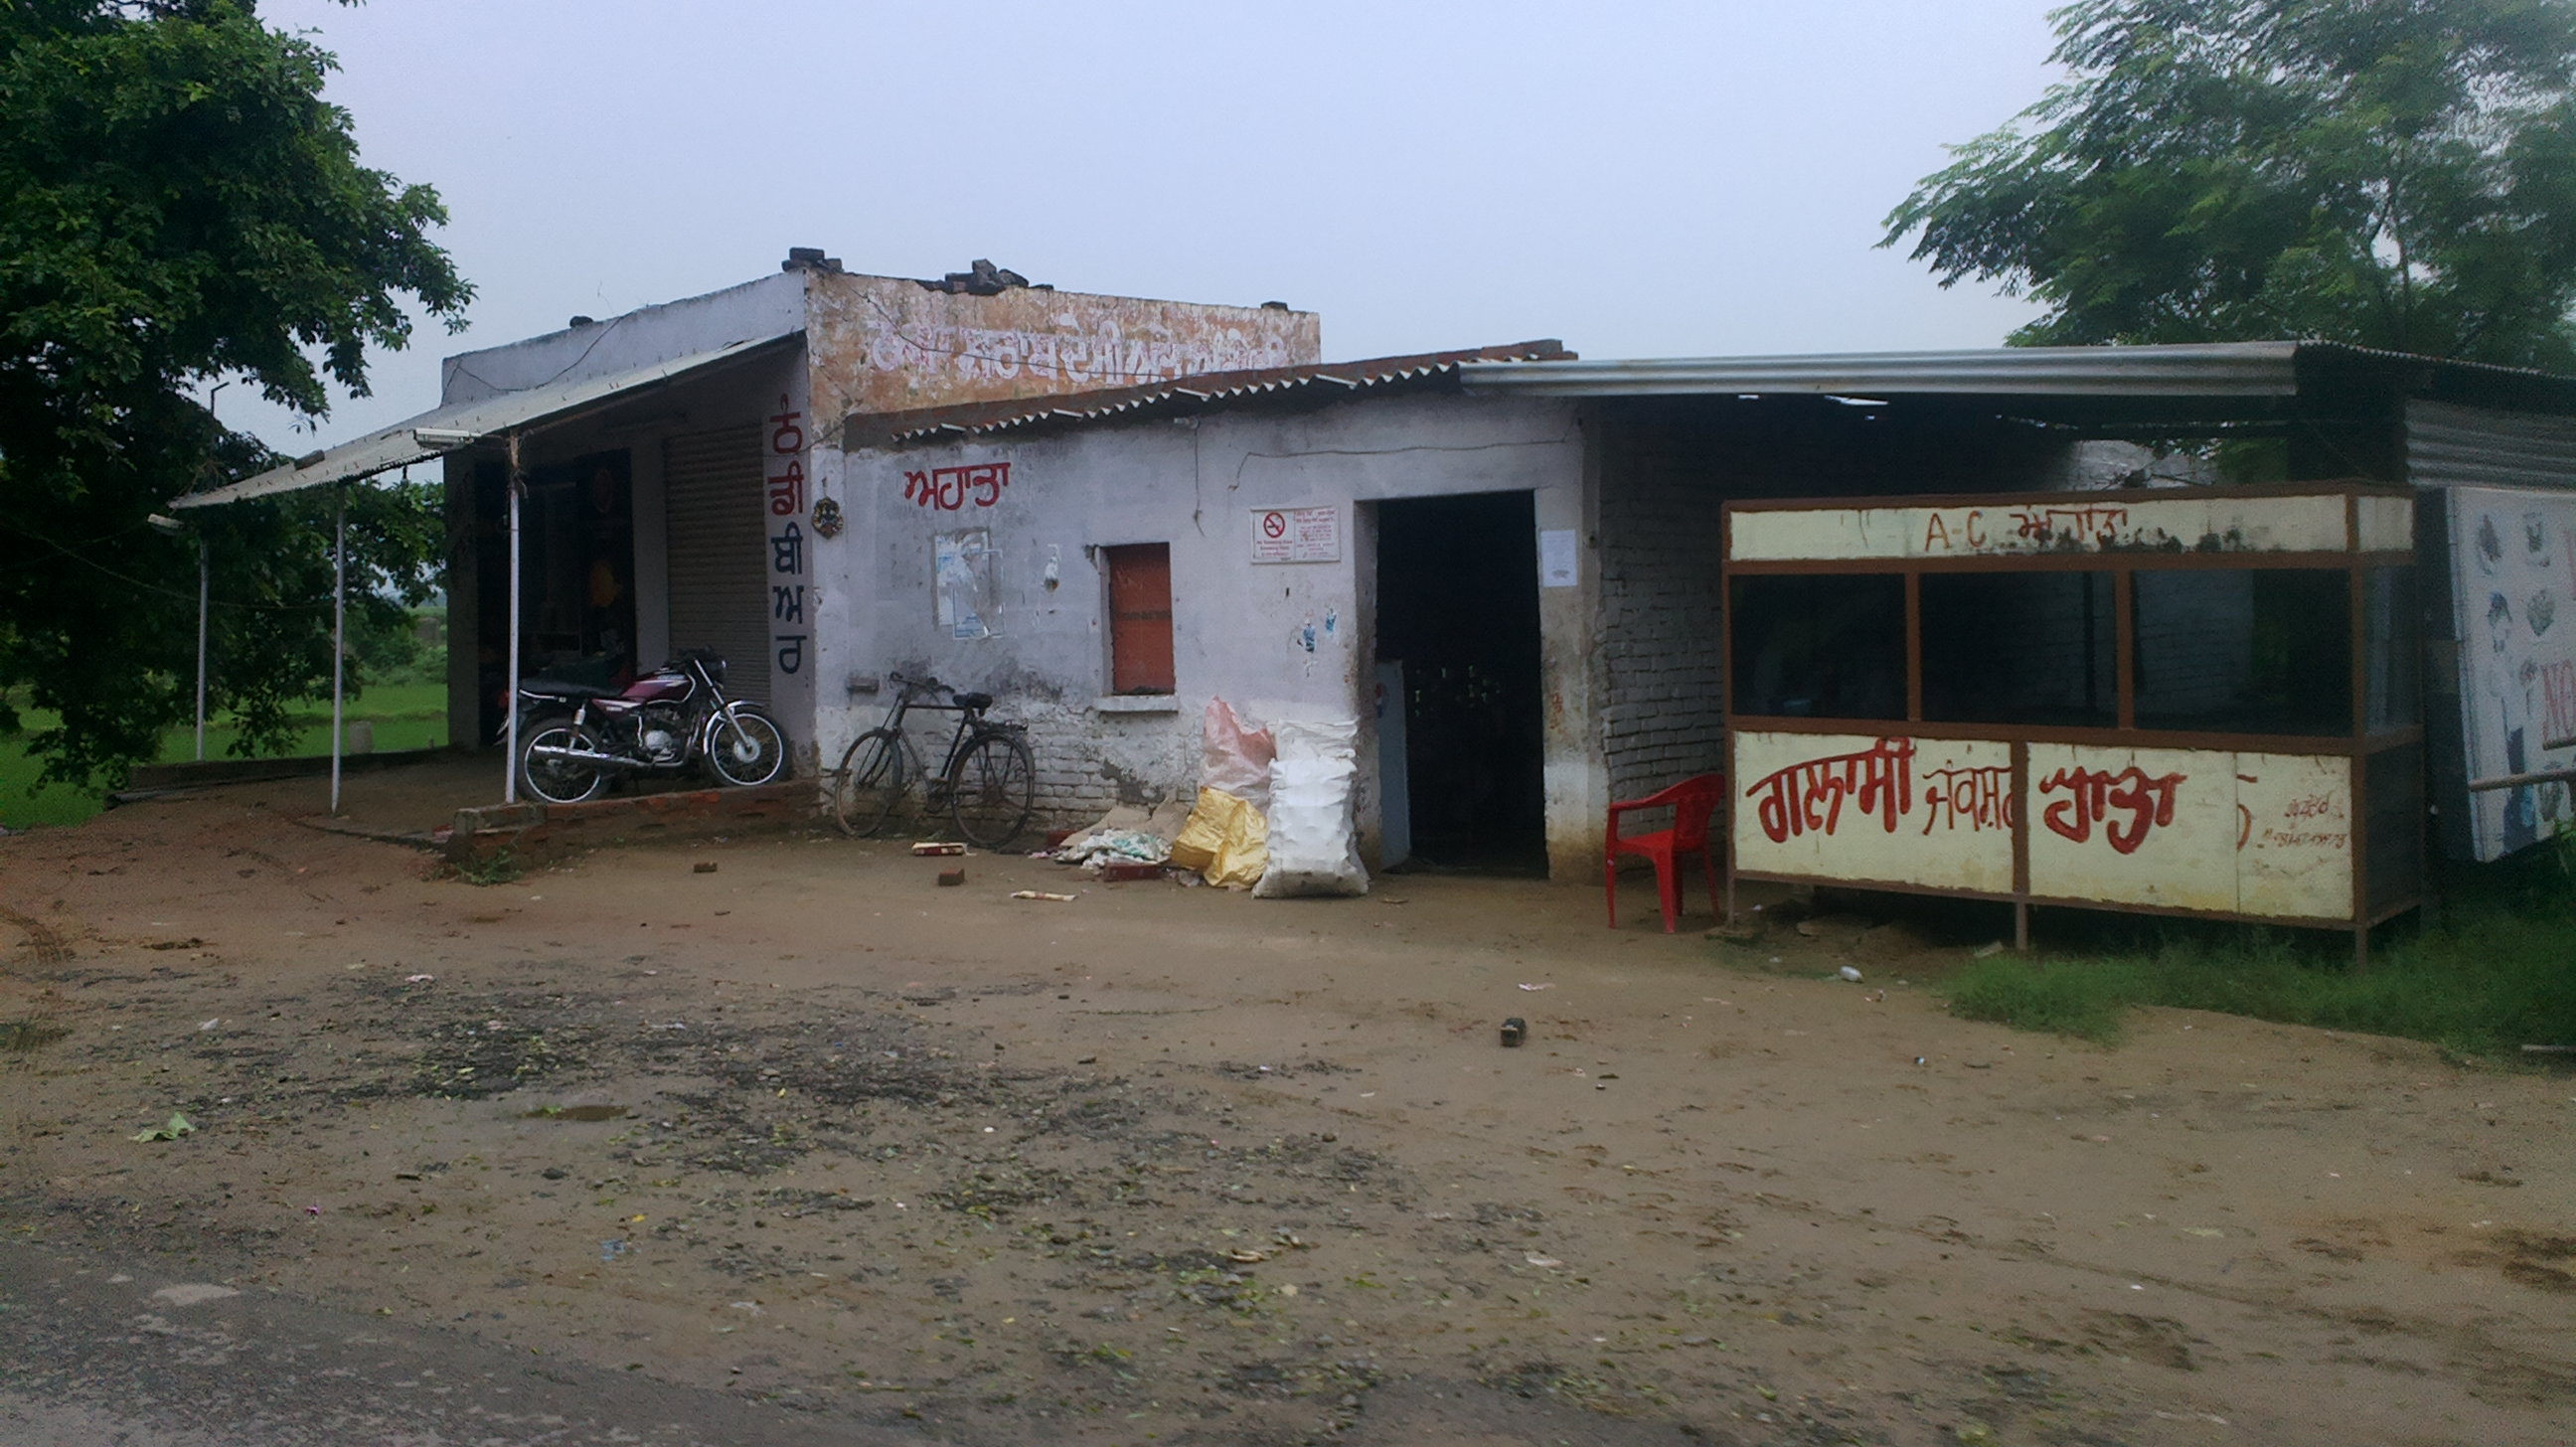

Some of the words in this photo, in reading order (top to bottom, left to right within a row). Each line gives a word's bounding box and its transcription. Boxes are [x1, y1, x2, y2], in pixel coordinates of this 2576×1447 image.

[764, 381, 815, 524] ਠੰਡੀ
[889, 456, 1019, 520] ਅਹਾਤਾ
[1914, 506, 1996, 556] A-C
[766, 518, 816, 682] ਬੀਅਰ
[1736, 734, 1923, 858] ਗਲਾਸੀ
[1915, 751, 2014, 845] ਜੰਕਸ਼
[2030, 760, 2192, 867] ਹਾਤਾ